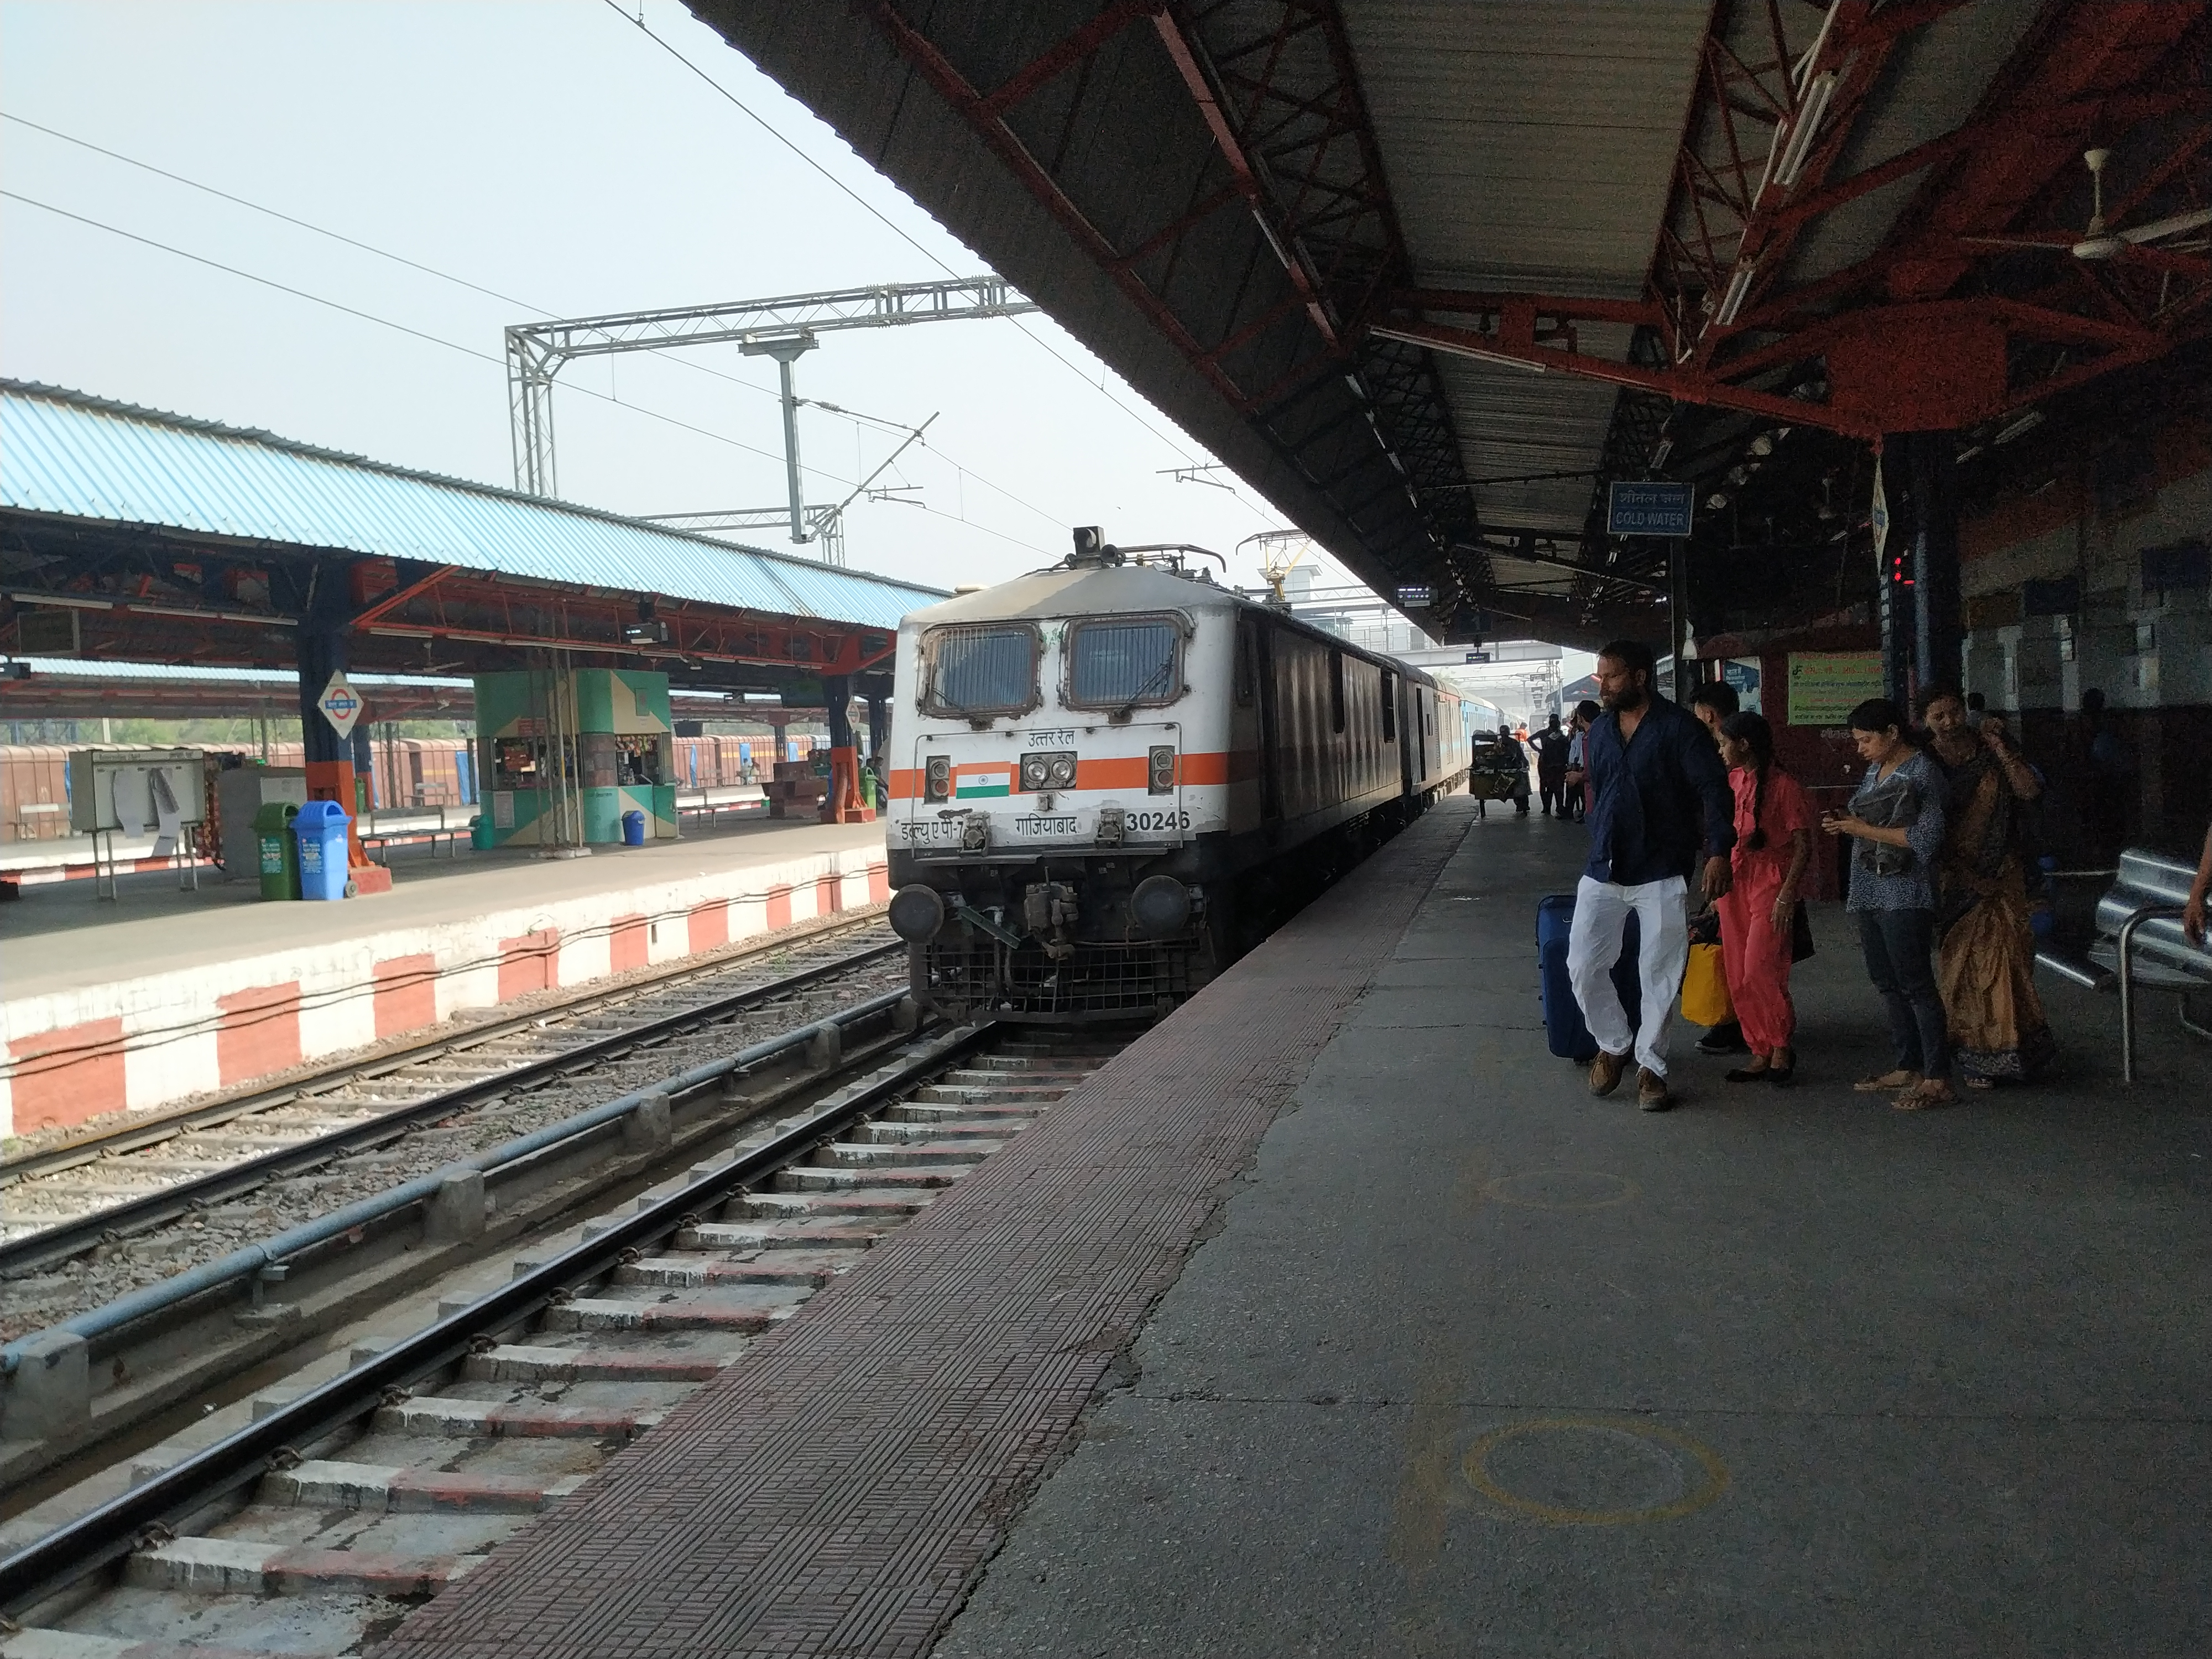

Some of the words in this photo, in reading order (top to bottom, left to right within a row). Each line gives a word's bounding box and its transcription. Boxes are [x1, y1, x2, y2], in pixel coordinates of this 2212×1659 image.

[1619, 487, 1658, 505] शीतल
[1616, 510, 1644, 526] COLD
[1646, 512, 1684, 528] WATER
[1027, 731, 1056, 749] उत्‍तर
[1056, 727, 1076, 747] रेल
[900, 815, 966, 847] डब्ल्यु ए पी-7
[1014, 810, 1078, 837] गाजियाबाद
[1125, 809, 1191, 833] 30246